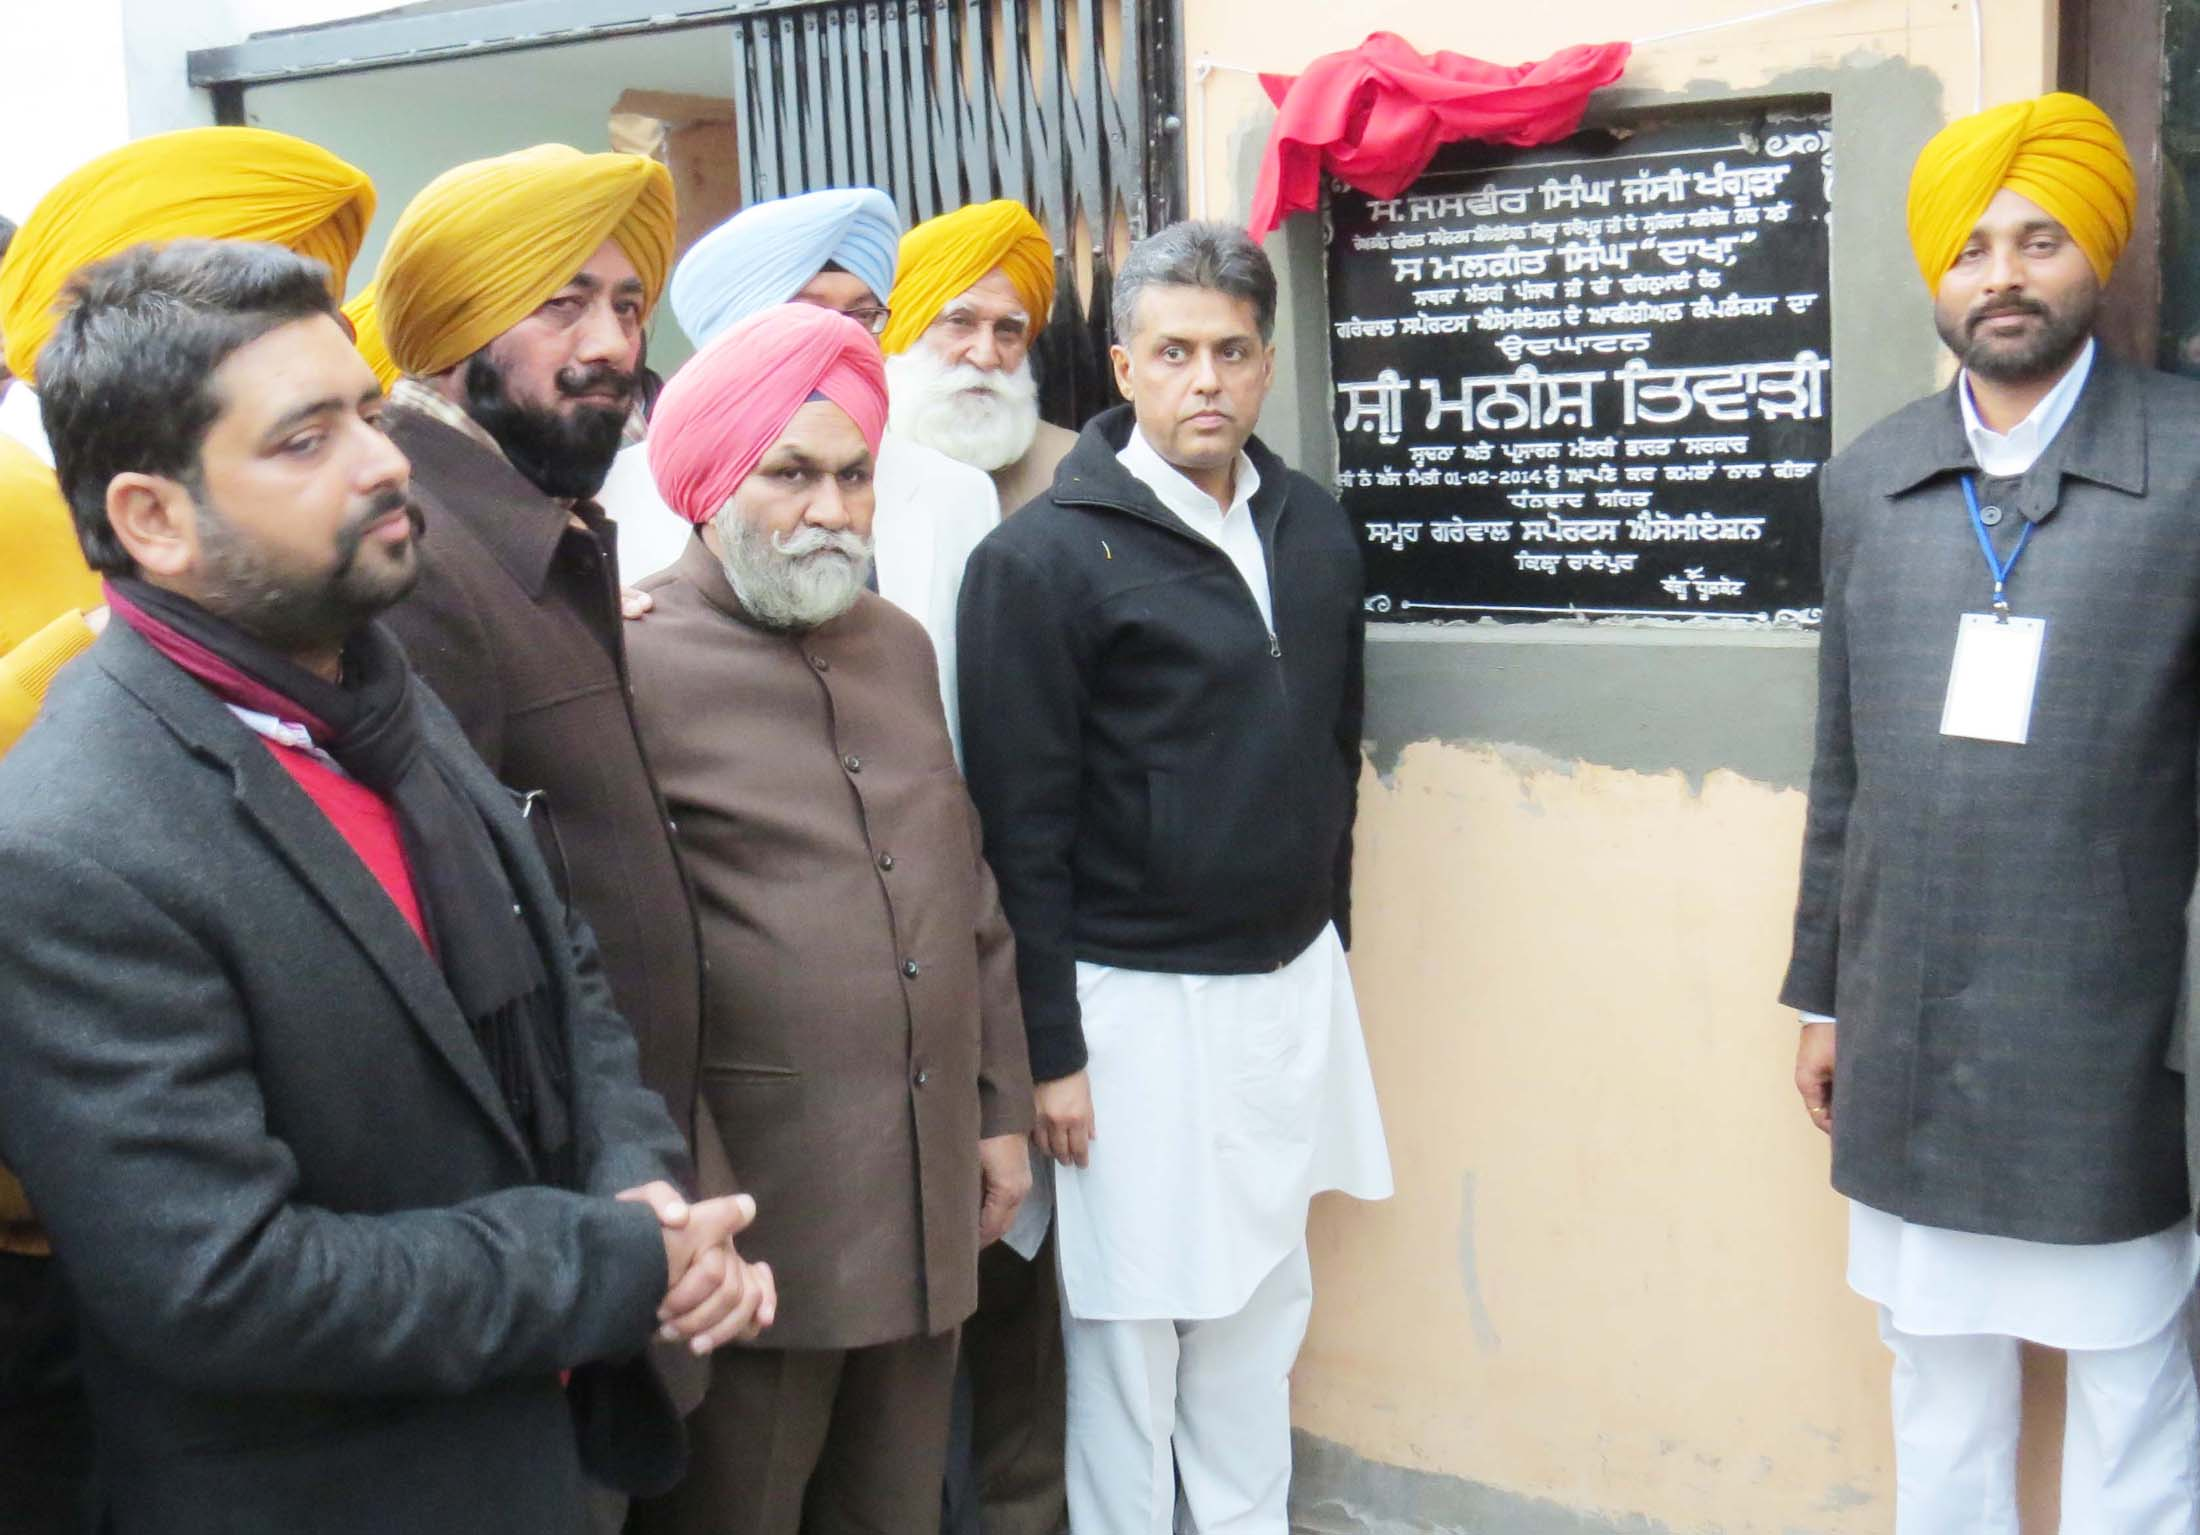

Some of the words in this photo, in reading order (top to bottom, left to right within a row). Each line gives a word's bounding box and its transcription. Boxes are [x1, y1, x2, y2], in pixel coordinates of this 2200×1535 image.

[1360, 192, 1409, 230] ਸ.
[1407, 180, 1536, 227] ਜਸਵੀਰ
[1536, 171, 1619, 214] ਸਿੰਘ
[1614, 162, 1691, 209] ਜੱਸੀ
[1693, 156, 1796, 208] ਖੰਗੂੜਾ
[1384, 253, 1429, 288] ਸ
[1429, 242, 1555, 281] ਮਲਕੀਤ
[1554, 238, 1644, 275] ਸਿੰਘ
[1653, 228, 1743, 271] ਦਾਖਾ,
[1782, 285, 1823, 315] ਦਾ
[1488, 327, 1659, 363] ਉਦਘਾਟਨ
[1330, 362, 1418, 452] ਸ਼ੀੁ
[1413, 360, 1609, 436] ਮਨੀਸ਼
[1607, 344, 1835, 433] ਤਿਵਾੜੀ
[1357, 515, 1427, 557] ਸਮ੍ਰੂਹ
[1425, 511, 1516, 548] ਗਰੇਵਾਲ
[1516, 508, 1625, 545] ਸਪੋਰਟਸ
[1622, 503, 1772, 545] ਐਸੋਸੀਏਸ਼ਨ
[1508, 545, 1567, 580] ਕਿਲ੍ਹਾ
[1565, 545, 1643, 579] ਰਾਏਪੁਰ